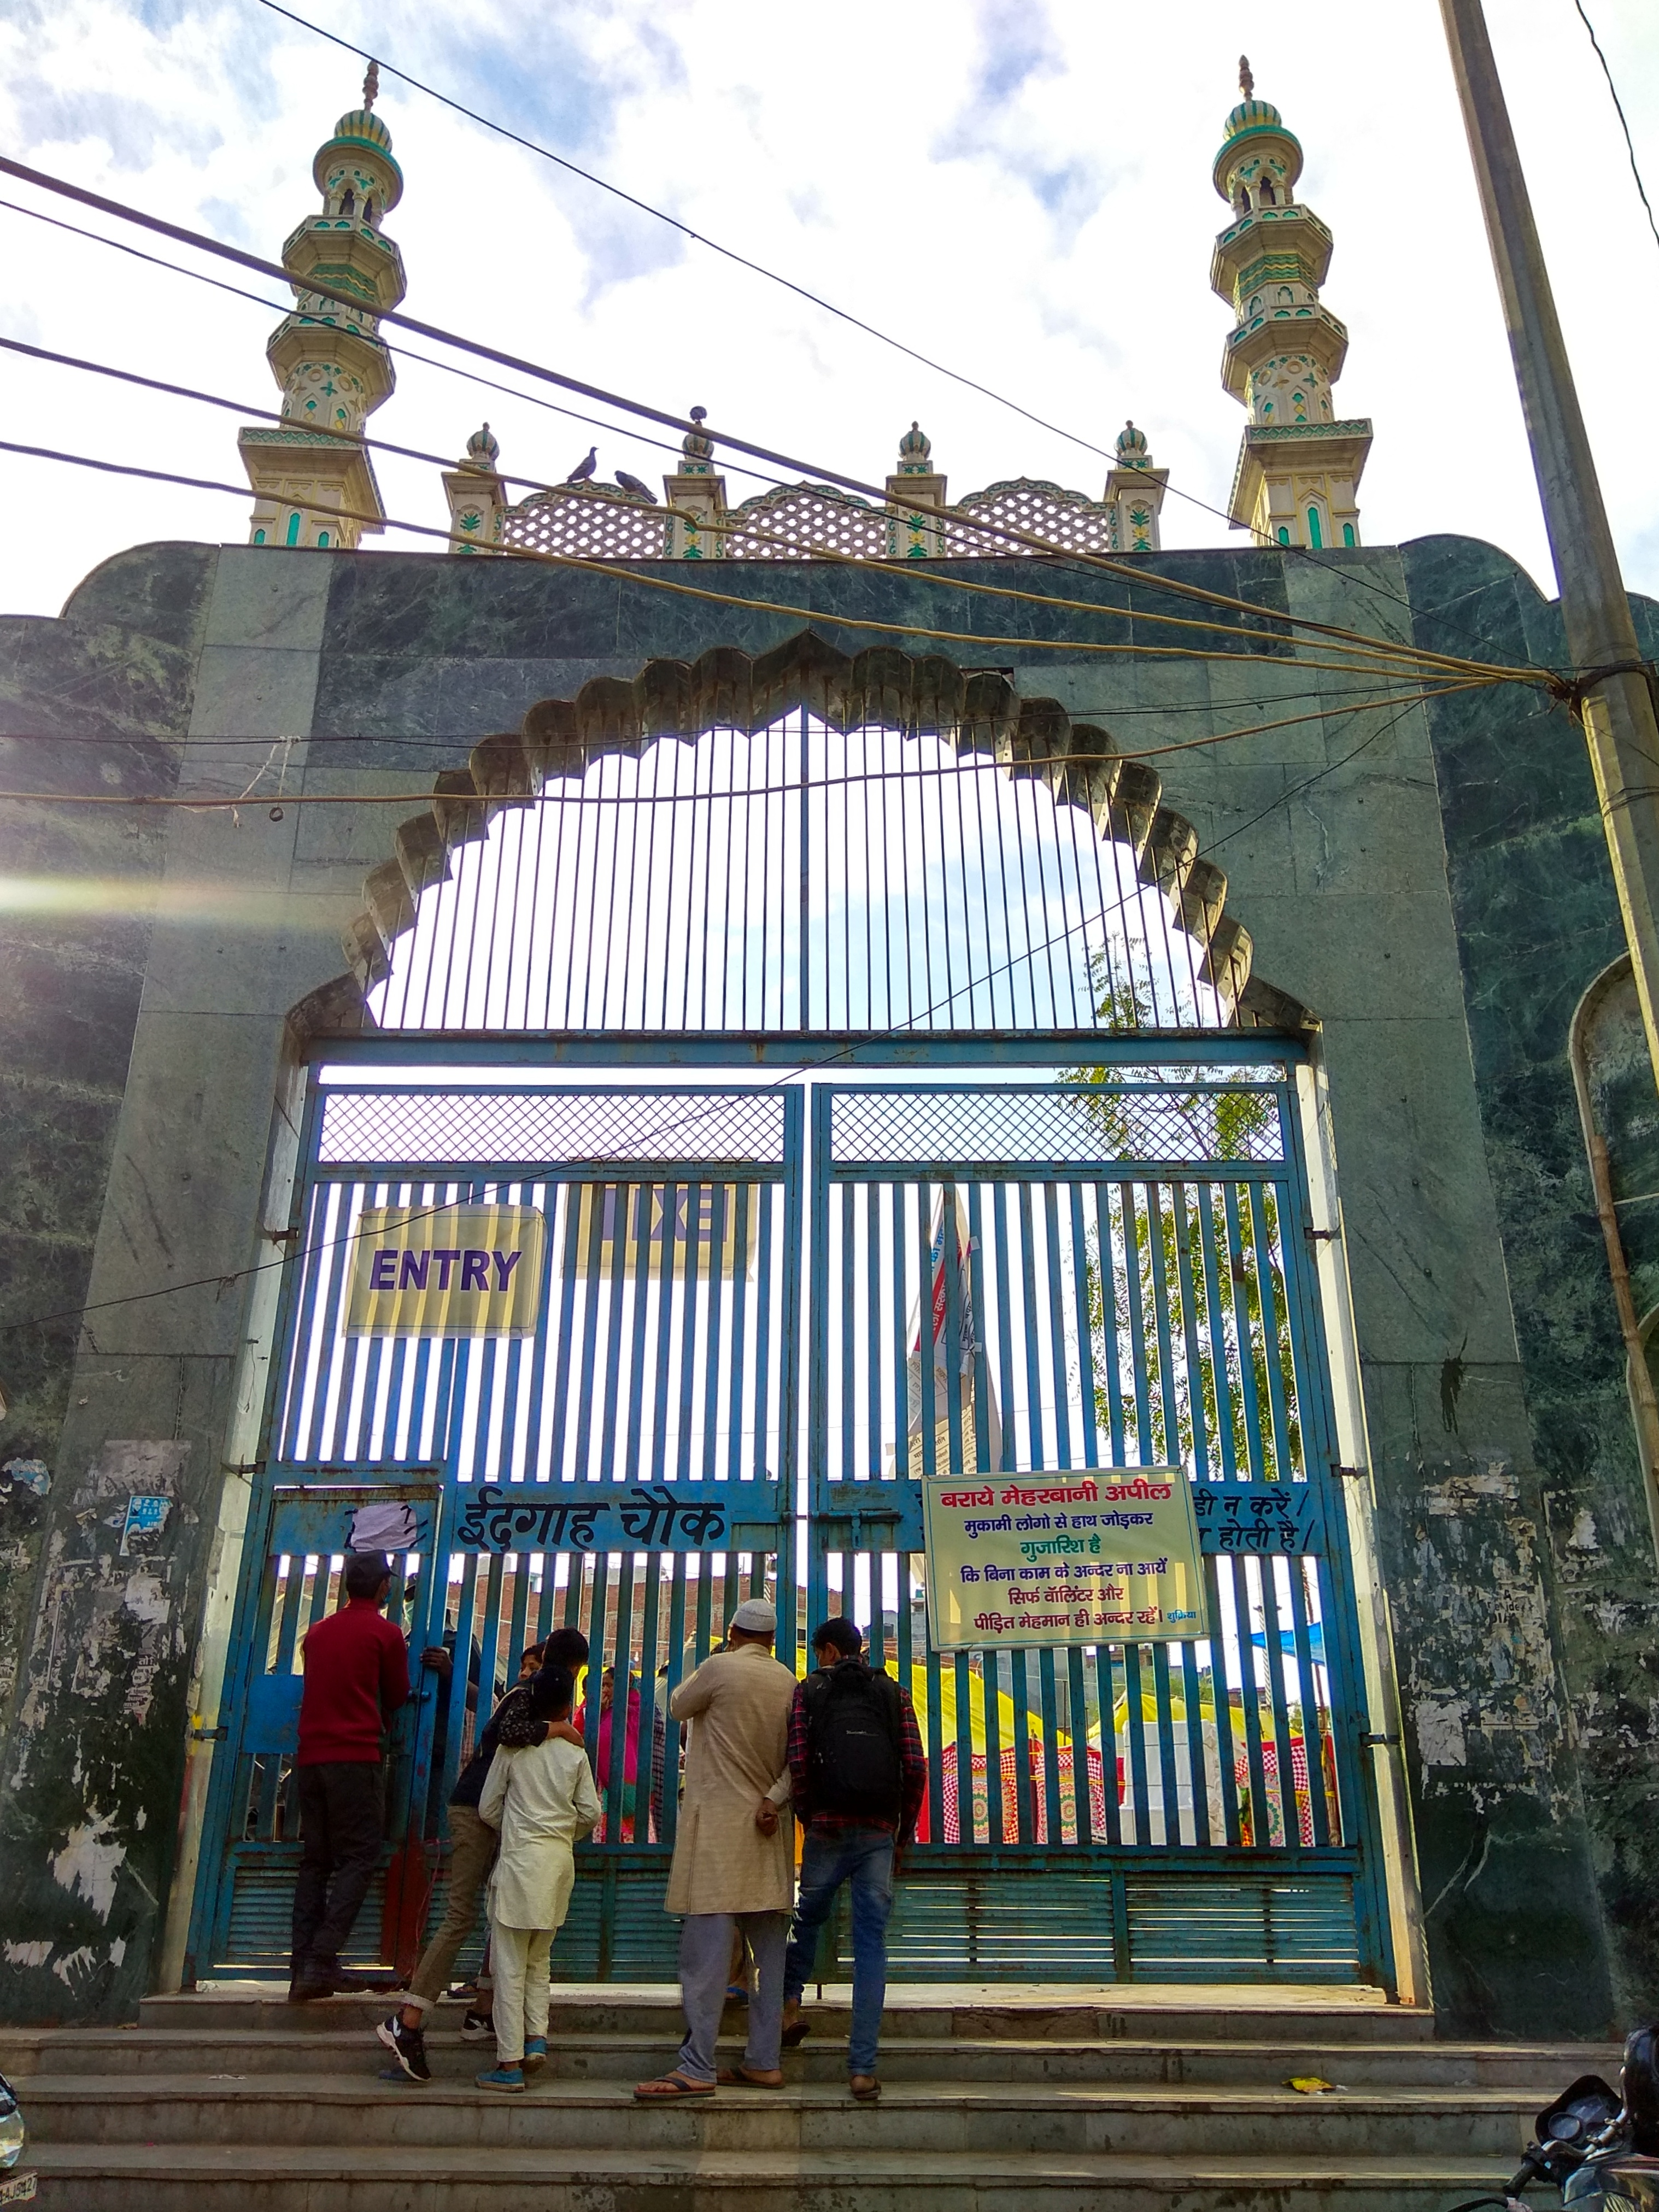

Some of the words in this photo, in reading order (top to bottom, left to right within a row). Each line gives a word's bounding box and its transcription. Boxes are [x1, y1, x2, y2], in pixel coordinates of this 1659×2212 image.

[367, 1245, 523, 1293] ENTRY
[454, 1481, 613, 1554] ईदगाह
[618, 1481, 730, 1548] चौक
[940, 1484, 996, 1511] बराये
[962, 1509, 1015, 1542] मुकामी
[1012, 1510, 1052, 1533] लोगो
[998, 1478, 1100, 1509] मेहरबानी
[1019, 1531, 1088, 1563] गुजारिश
[1052, 1509, 1070, 1530] से
[1071, 1514, 1099, 1533] हाथ
[1084, 1530, 1104, 1555] है
[1097, 1507, 1156, 1532] जोड़कर
[1100, 1475, 1174, 1504] अपील
[1221, 1493, 1245, 1518] न
[1212, 1513, 1275, 1555] होती
[1246, 1486, 1295, 1521] करें
[1275, 1515, 1302, 1556] है
[955, 1560, 984, 1586] कि
[981, 1560, 1017, 1583] बिना
[1017, 1565, 1053, 1582] काम
[1053, 1557, 1073, 1580] के
[1071, 1562, 1115, 1581] अन्दर
[1116, 1561, 1136, 1579] ना
[1135, 1553, 1170, 1580] आयें
[1005, 1583, 1042, 1605] सिर्फ
[1042, 1582, 1096, 1605] वॉलिंटर
[1095, 1580, 1126, 1604] और
[970, 1608, 1018, 1636] पीड़ित
[1017, 1606, 1072, 1633] मेहमान
[1072, 1604, 1092, 1628] ही
[1092, 1610, 1135, 1629] अन्दर
[1136, 1601, 1166, 1628] रहें।
[1164, 1606, 1199, 1626] शुक्रिया